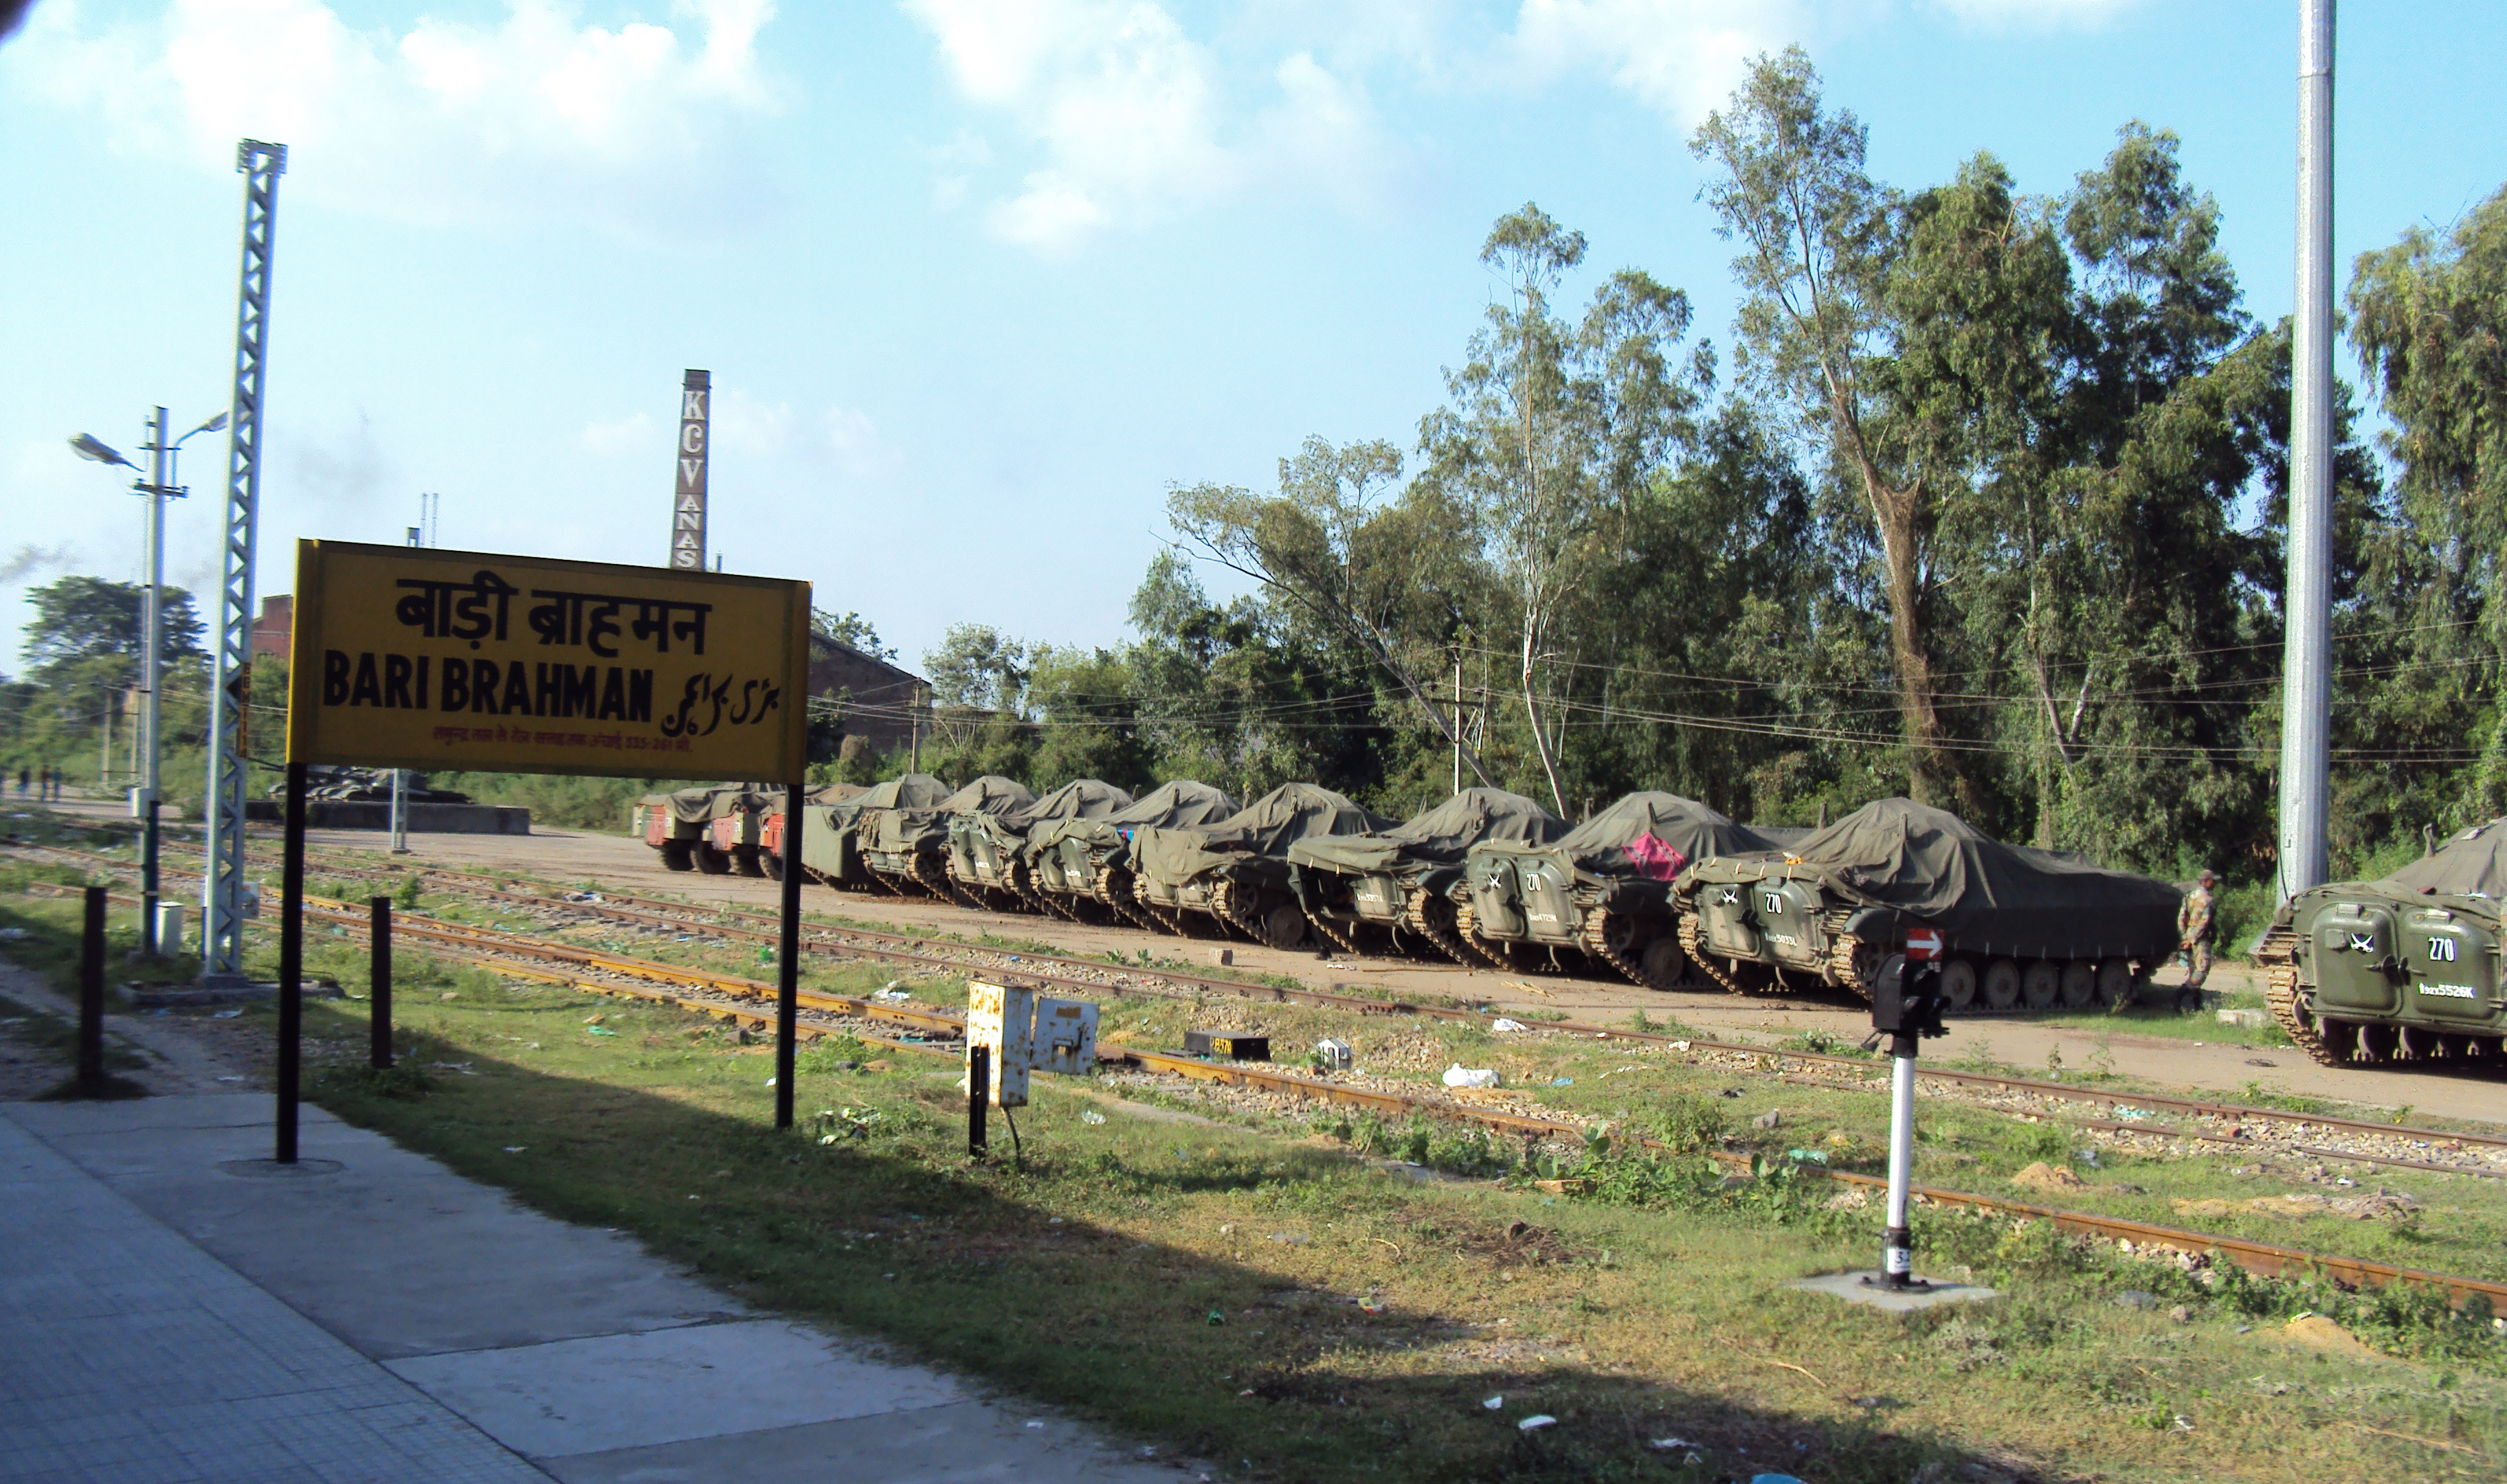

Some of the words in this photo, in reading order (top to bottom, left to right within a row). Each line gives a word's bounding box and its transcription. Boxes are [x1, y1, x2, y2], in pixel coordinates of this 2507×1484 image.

[678, 388, 709, 491] KCV
[673, 491, 706, 572] ANAS
[390, 563, 521, 658] बाड़ी
[522, 585, 715, 659] ब्राहमन
[320, 647, 431, 715] BARI
[439, 655, 656, 728] BRAHMAN
[428, 723, 473, 750] लघुन्द्र
[467, 723, 497, 747] तल
[506, 721, 535, 750] रेल
[586, 726, 627, 755] ऊँचाई
[623, 732, 693, 755] 335-261मी.